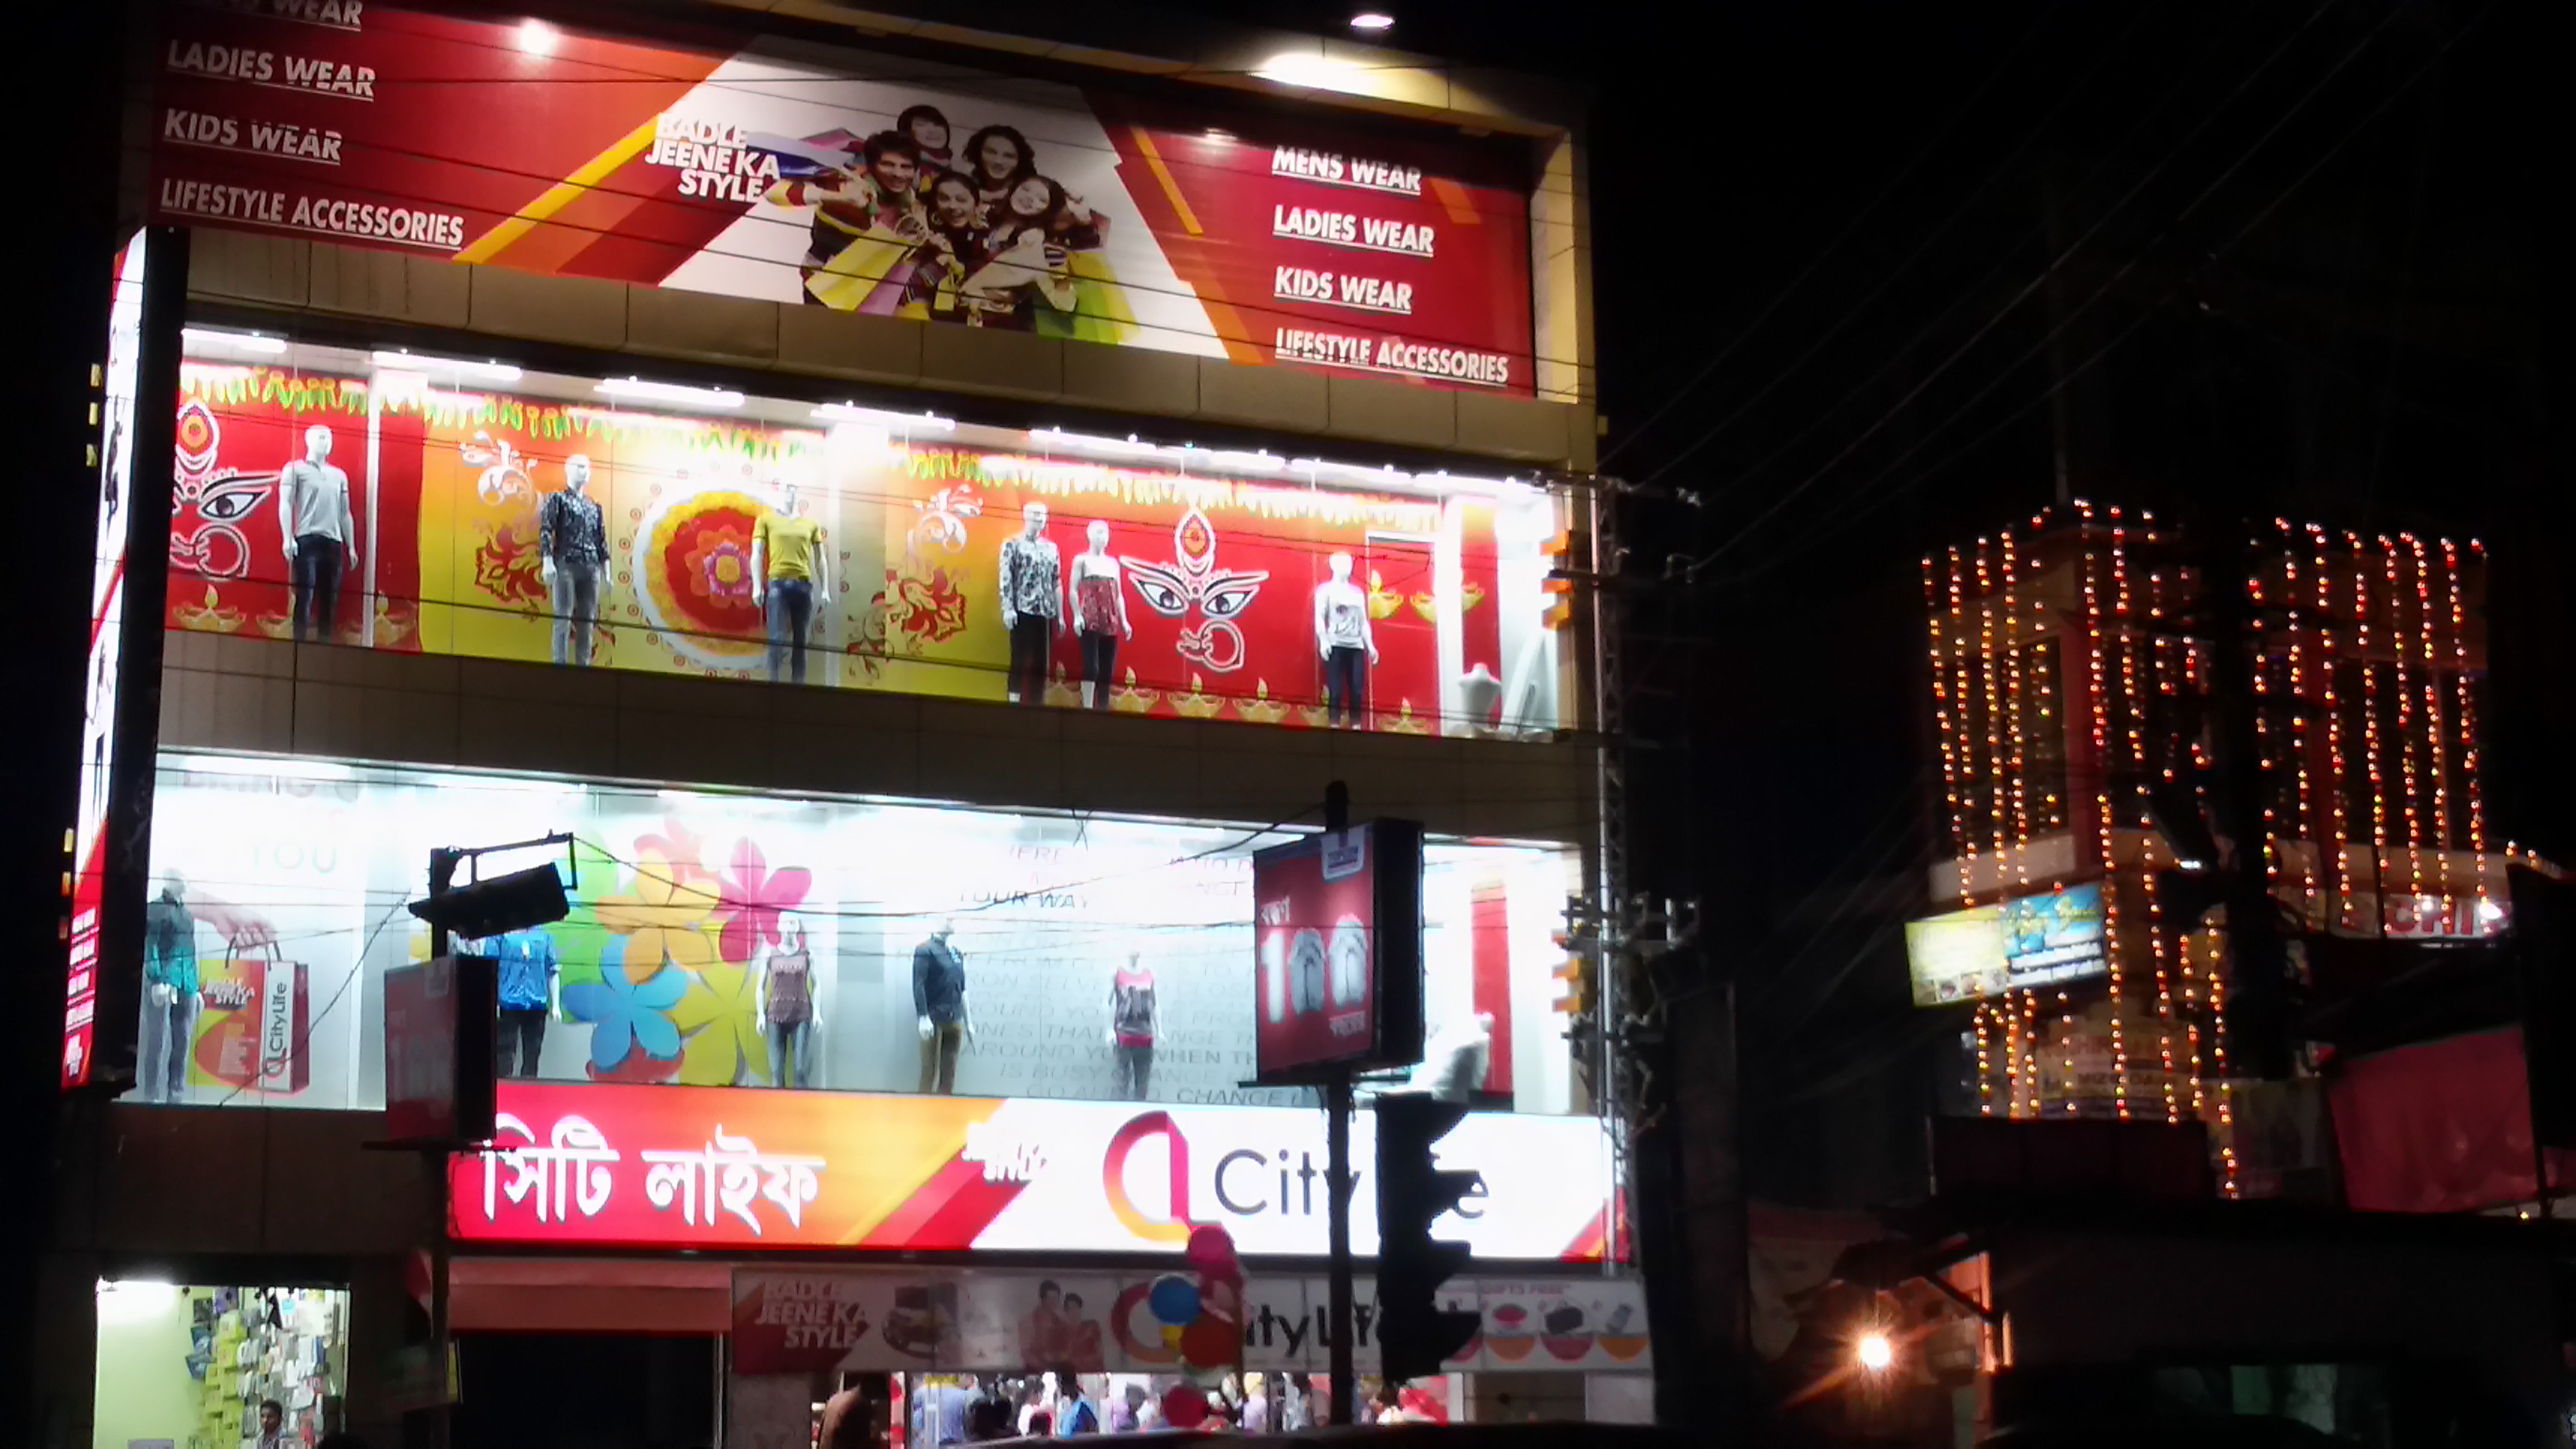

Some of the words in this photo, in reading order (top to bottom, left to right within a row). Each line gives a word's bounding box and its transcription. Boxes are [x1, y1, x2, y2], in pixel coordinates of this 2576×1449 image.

[161, 32, 279, 83] LADIES
[281, 49, 379, 103] WEAR
[159, 100, 241, 150] KIDS
[152, 174, 293, 225] LIFESTYLE
[245, 114, 342, 163] WEAR
[283, 193, 469, 249] ACCESSORIES
[641, 138, 739, 174] JEENE
[651, 108, 753, 153] BADLE
[673, 165, 767, 204] STYLE
[732, 143, 783, 185] KA
[1268, 141, 1355, 184] MENS
[1271, 201, 1361, 247] LADIES
[1347, 156, 1426, 196] WEAR
[1361, 212, 1438, 255] WEAR
[1271, 260, 1337, 305] KIDS
[1335, 268, 1416, 313] WEAR
[1268, 324, 1374, 372] LIFESTYLE
[1370, 338, 1515, 388] ACCESSORIES
[262, 976, 292, 1052] CityLife
[466, 1103, 625, 1230] সিটি
[631, 1113, 831, 1240] লাইফ
[1209, 1126, 1327, 1226] Cit
[751, 1266, 843, 1310] BADLE
[750, 1290, 835, 1335] JEENE
[778, 1316, 865, 1357] STYLE
[826, 1294, 880, 1339] KA